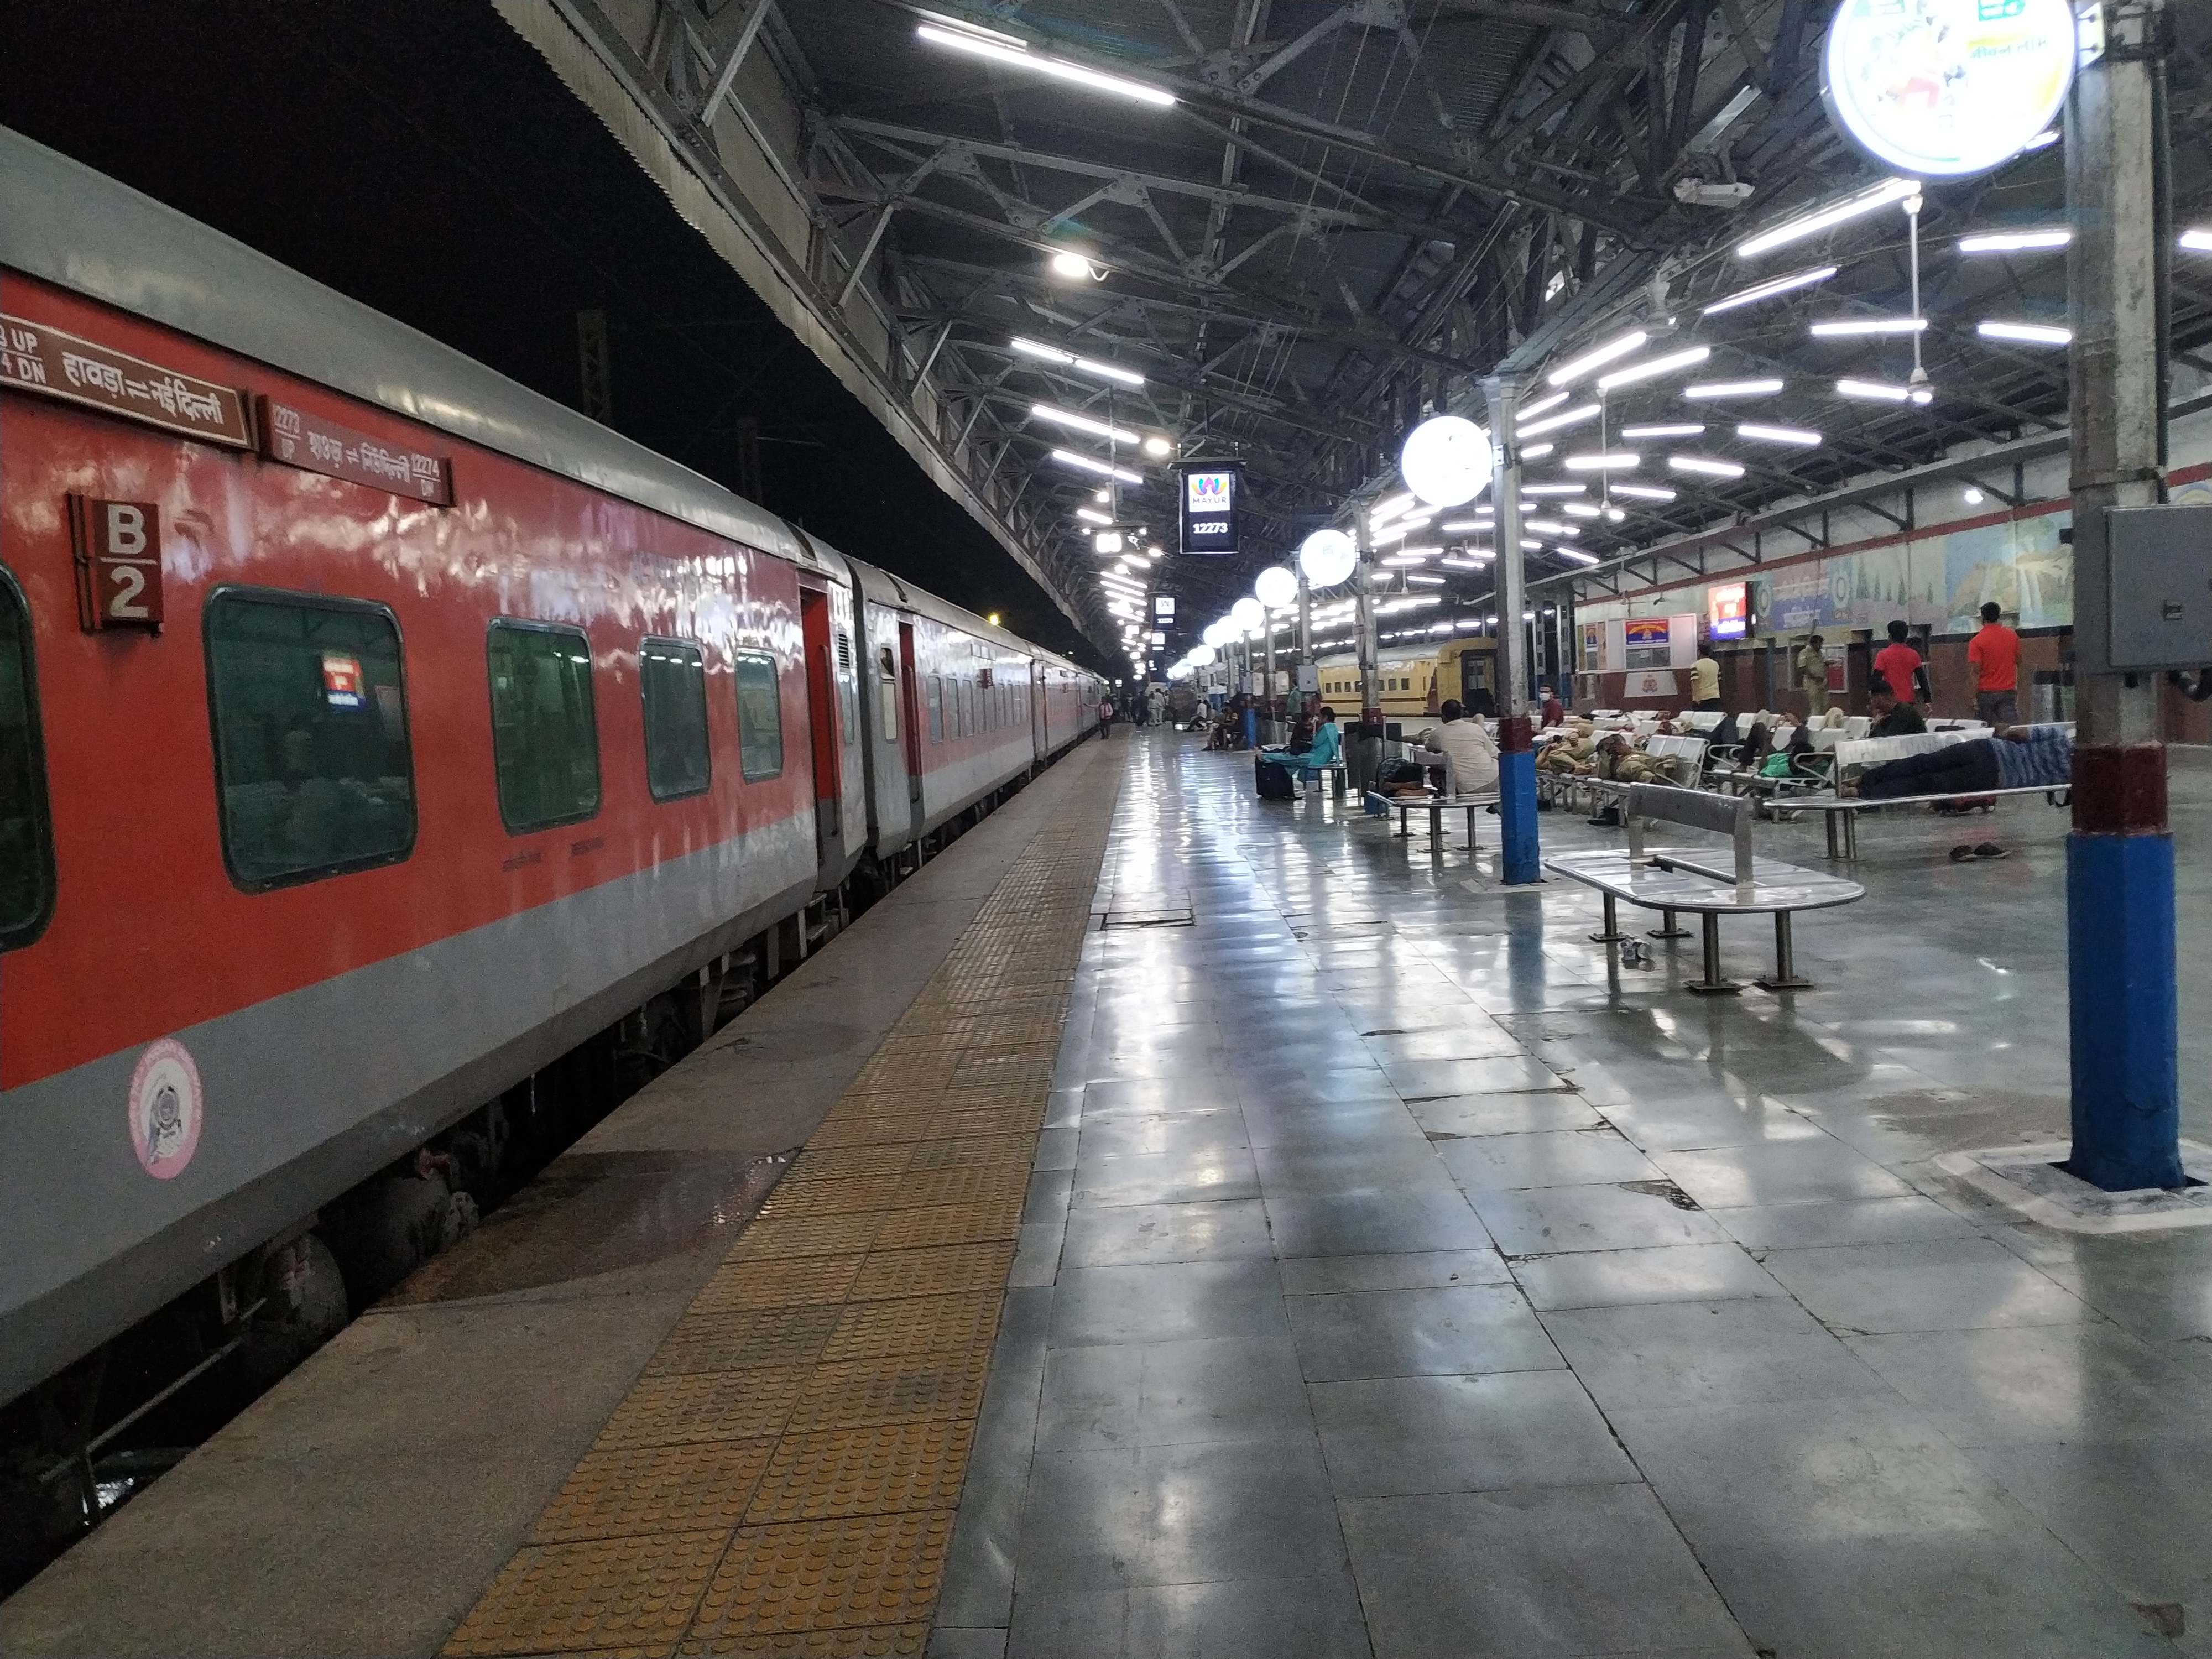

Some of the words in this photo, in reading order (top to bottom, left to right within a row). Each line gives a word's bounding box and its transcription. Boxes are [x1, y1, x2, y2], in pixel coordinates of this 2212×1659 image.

[62, 349, 127, 401] हावड़ा
[148, 372, 224, 425] नई दिल्ली
[307, 429, 346, 471] হাওড়া
[97, 500, 158, 619] B/2